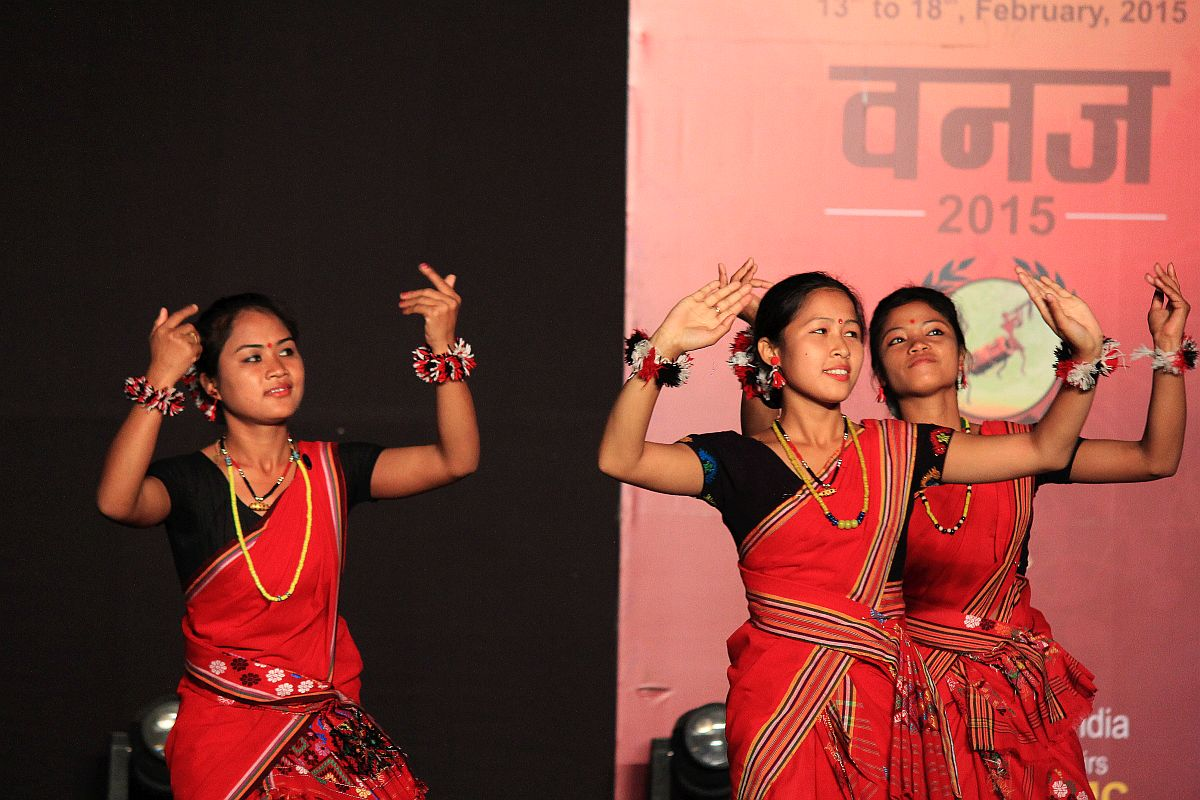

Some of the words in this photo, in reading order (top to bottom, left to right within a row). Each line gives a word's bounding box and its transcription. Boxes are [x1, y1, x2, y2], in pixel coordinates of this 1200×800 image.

[975, 2, 1107, 30] February
[1116, 0, 1190, 27] 2015
[828, 61, 1175, 187] वनज
[932, 190, 1059, 241] 2015